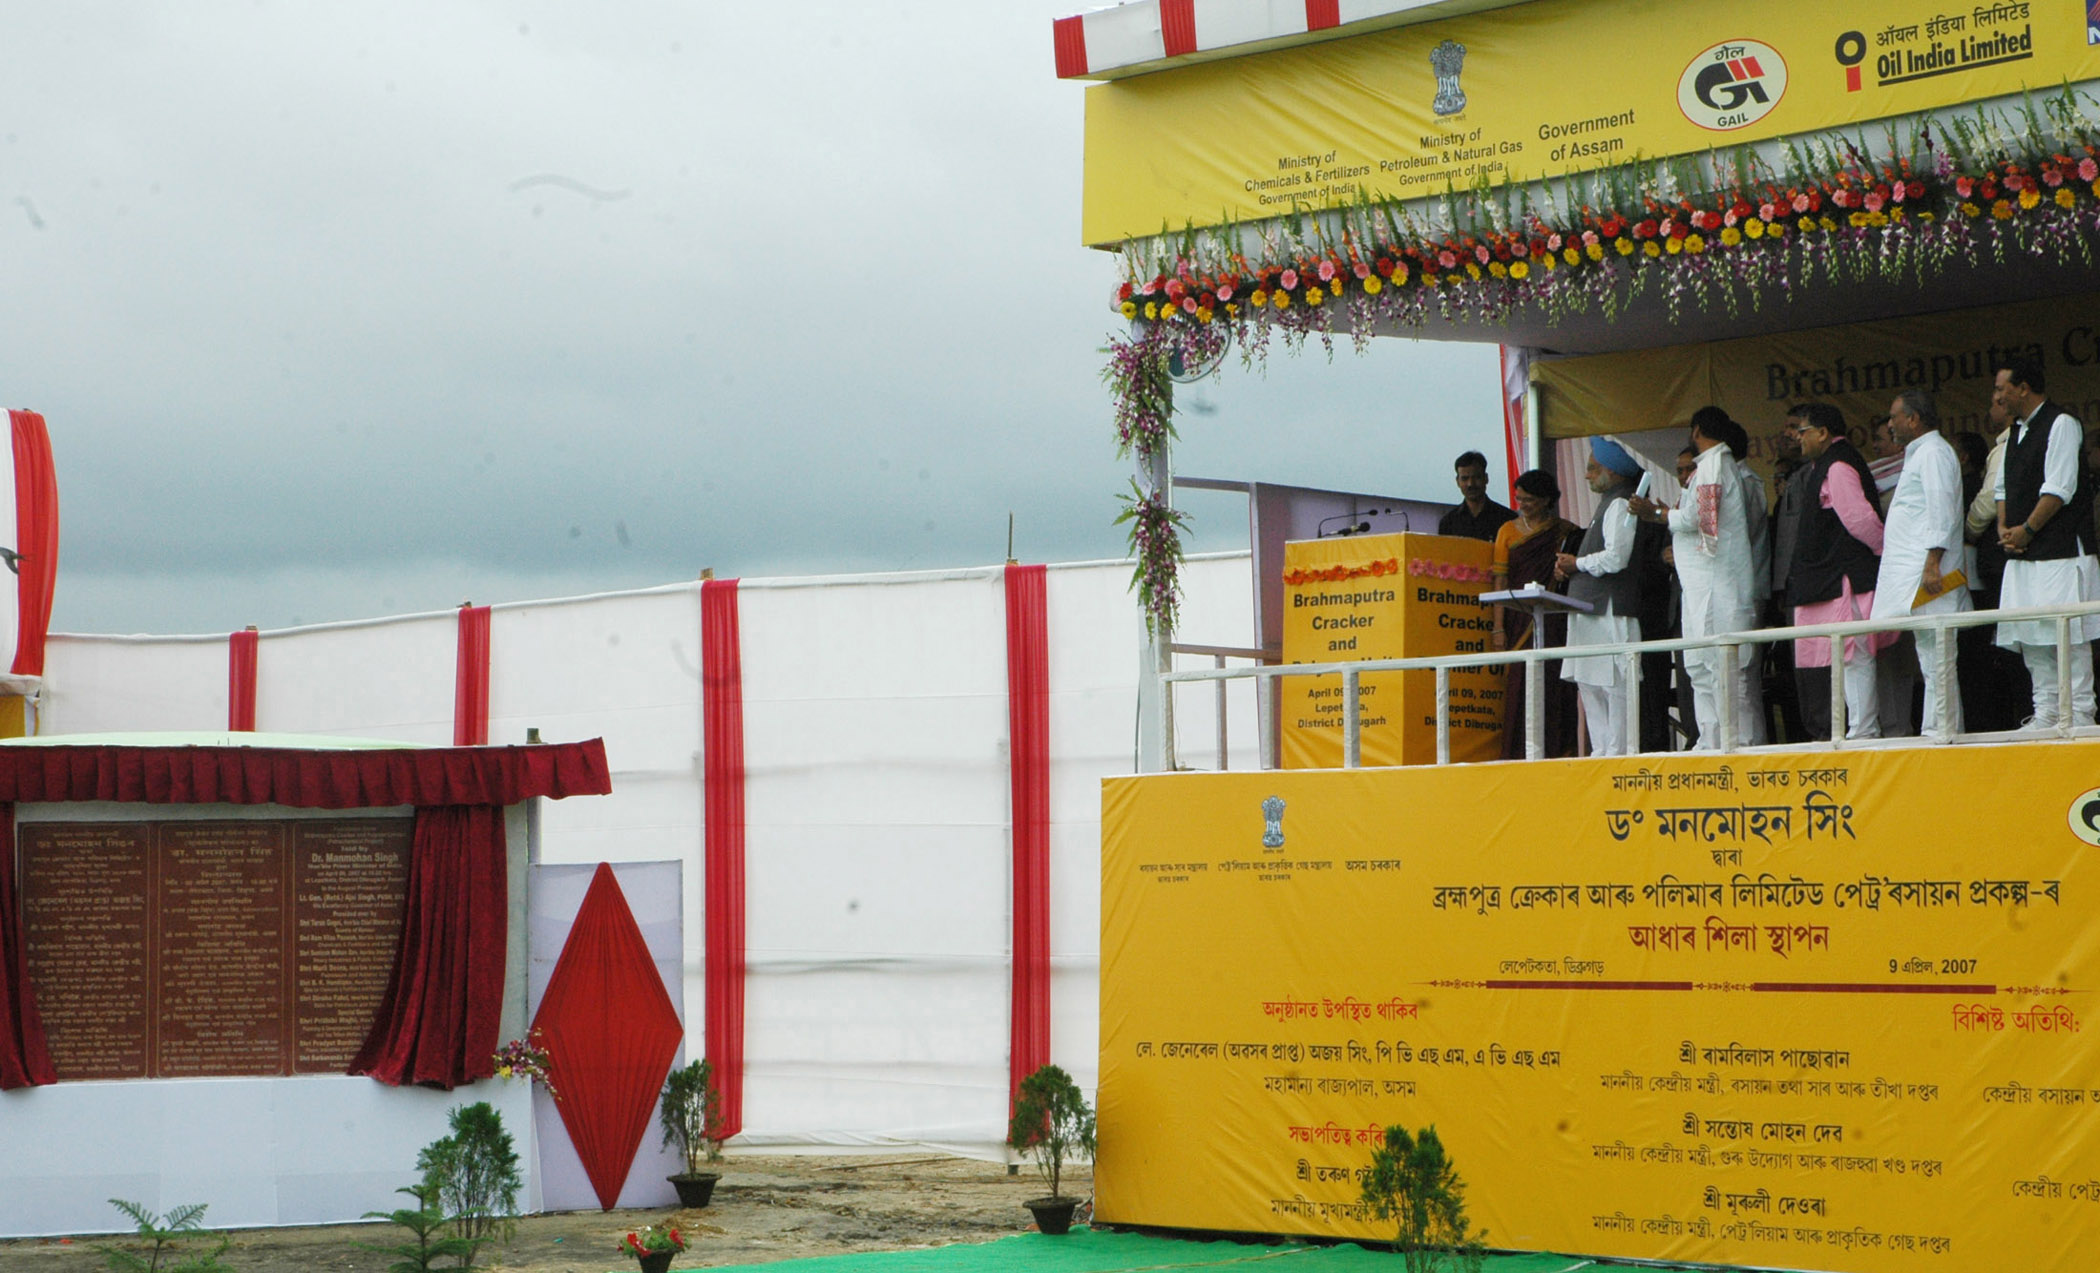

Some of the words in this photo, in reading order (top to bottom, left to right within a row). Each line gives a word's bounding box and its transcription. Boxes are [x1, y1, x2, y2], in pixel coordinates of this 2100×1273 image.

[1705, 37, 1752, 65] गेल
[1871, 41, 1907, 82] Oil
[1874, 21, 1920, 50] ऑयल
[1904, 32, 1961, 78] India
[1924, 10, 1967, 42] इंडिया
[1955, 21, 2037, 69] Limited
[1970, 0, 2031, 31] लिमिटेड
[1238, 169, 1308, 197] Chemicals
[1250, 184, 1320, 211] Government
[1269, 142, 1327, 176] Ministry
[1298, 164, 1317, 190] &
[1313, 179, 1336, 202] of
[1320, 141, 1341, 166] of
[1312, 157, 1372, 184] Fertilizers
[1324, 176, 1360, 199] India
[1376, 149, 1442, 176] Petroleum
[1394, 160, 1467, 190] Government
[1432, 144, 1454, 173] &
[1415, 126, 1474, 150] Ministry
[1462, 162, 1481, 178] of.l
[1446, 139, 1502, 166] Natural
[1462, 120, 1490, 146] of
[1472, 154, 1509, 177] India
[1494, 135, 1527, 154] 3ঃ1
[1541, 134, 1571, 168] of
[1533, 102, 1642, 146] Government
[1564, 128, 1626, 166] Assam
[1715, 109, 1749, 130] GAIL
[1763, 336, 2053, 406] Brahmaputsa
[1291, 584, 1399, 612] Brahmaputra
[1413, 584, 1482, 609] Brahma
[1302, 606, 1385, 635] Cracker
[1435, 608, 1490, 636] Crack
[1320, 625, 1366, 655] and
[1450, 637, 1493, 654] and
[1299, 680, 1335, 705] April
[1295, 708, 1337, 734] District
[1599, 766, 1667, 797] মাননীয়
[1663, 764, 1736, 794] প্ৰধানমন্ত্ৰী
[1743, 763, 1794, 794] ভাৰত
[1794, 763, 1851, 792] চৰকাৰ
[1596, 804, 1644, 848] ড৹
[1653, 798, 1797, 847] মনমোহন
[1798, 785, 1862, 846] সিং
[165, 839, 195, 861] डा.
[191, 841, 249, 861] मनमोहन
[305, 848, 329, 870] Dr.
[323, 847, 379, 867] Manmohan
[370, 849, 405, 867] Singh
[1339, 854, 1374, 877] অসম
[1367, 856, 1405, 878] চৰকাৰ
[1708, 844, 1746, 870] দ্বাৰা
[1423, 875, 1508, 920] ব্রহ্মপুত্র
[1502, 879, 1582, 915] ক্ৰেকাৰ
[1578, 877, 1637, 913] আৰু
[1641, 870, 1727, 913] পলিমাৰ
[1725, 867, 1827, 915] লিমিটেড
[1827, 868, 1888, 920] পেট্র
[1886, 873, 1964, 912] ৰসায়ন
[1962, 868, 2064, 912] প্রকল্প-ৰ
[1623, 918, 1698, 958] আধাৰ
[1701, 912, 1760, 958] শিলা
[1763, 918, 1831, 962] স্থাপন
[1493, 952, 1562, 981] লেপেটকতা,
[1551, 949, 1612, 980] ডিব্ৰুগড়
[1882, 951, 1907, 979] 9
[1898, 951, 1940, 979] এপ্রিল,
[1936, 948, 1981, 980] 2007
[1259, 989, 1324, 1027] অনুষ্ঠানত
[1313, 992, 1380, 1027] উপস্থিত
[1373, 990, 1424, 1024] থাকিব
[1950, 1003, 2007, 1036] বিশিষ্ট
[2007, 1001, 2081, 1036] অতিথি:
[1133, 1031, 1162, 1063] লে.
[1159, 1040, 1221, 1062] জেনেৰেল
[1220, 1031, 1271, 1066] অৱসৰ
[1267, 1035, 1305, 1068] প্রাপ্ত)
[1301, 1037, 1351, 1067] অজয়
[1340, 1033, 1373, 1067] সিং,
[1368, 1033, 1467, 1071] পি ভি এছ এম
[1468, 1039, 1565, 1073] এ ভি এছ এম
[1696, 1040, 1775, 1071] ৰামবিলাস
[1775, 1043, 1850, 1071] পাছোৱান
[1259, 1071, 1319, 1097] মহামান্য
[1317, 1073, 1379, 1103] ৰাজ্যপাল,
[1375, 1074, 1422, 1101] অসম
[1596, 1069, 1648, 1095] মাননীয়
[1641, 1069, 1696, 1098] কেন্দ্ৰীয়
[1686, 1072, 1720, 1097] মন্ত্ৰী
[1723, 1072, 1776, 1099] ৰসায়ন
[1772, 1071, 1810, 1102] তথা
[1804, 1074, 1837, 1097] সাৰ
[1828, 1077, 1870, 1102] আৰু
[1863, 1069, 1907, 1102] তীখা
[1903, 1075, 1946, 1108] দপ্তৰ
[1978, 1073, 2039, 1112] কেন্দ্ৰীয়
[2033, 1083, 2090, 1112] ৰসায়ন
[1287, 1116, 1357, 1151] সভাপতিত্ব
[1347, 1119, 1388, 1151] কৰি
[1669, 1103, 1705, 1139] শ্রী
[1701, 1114, 1753, 1145] সন্তোষ
[1755, 1116, 1808, 1145] মোহন
[1810, 1121, 1844, 1147] দেৱ
[1286, 1151, 1318, 1188] শ্রী
[1313, 1157, 1355, 1185] তৰুণ
[1591, 1138, 1639, 1164] মাননীয়
[1637, 1137, 1689, 1167] কেন্দ্ৰীয়
[1679, 1138, 1717, 1173] মন্ত্রী,
[1715, 1143, 1749, 1169] গুৰু
[1743, 1147, 1794, 1173] উদ্যোগ
[1789, 1150, 1829, 1174] আৰু
[1829, 1152, 1879, 1176] ৰাজহুৱা
[1879, 1151, 1948, 1181] খণ্ড দপ্তব
[1263, 1188, 1323, 1221] মাননীয়
[1317, 1194, 1376, 1227] মূখ্যমন্ত্ৰী
[1589, 1205, 1641, 1235] মাননীয়
[1637, 1207, 1687, 1239] কেন্দ্ৰীয়
[1678, 1213, 1719, 1240] মন্ত্রী
[1696, 1179, 1730, 1216] শ্রী
[1721, 1180, 1775, 1223] মূৰুলী
[1713, 1215, 1794, 1245] পেট্ৰলিয়াম
[1772, 1188, 1831, 1219] দেওৰা
[1789, 1221, 1829, 1248] আৰু
[1821, 1221, 1886, 1255] প্ৰাকৃতিক
[1883, 1228, 1957, 1259] গেছ দপ্তব
[2010, 1176, 2064, 1200] কেন্দ্ৰীয়